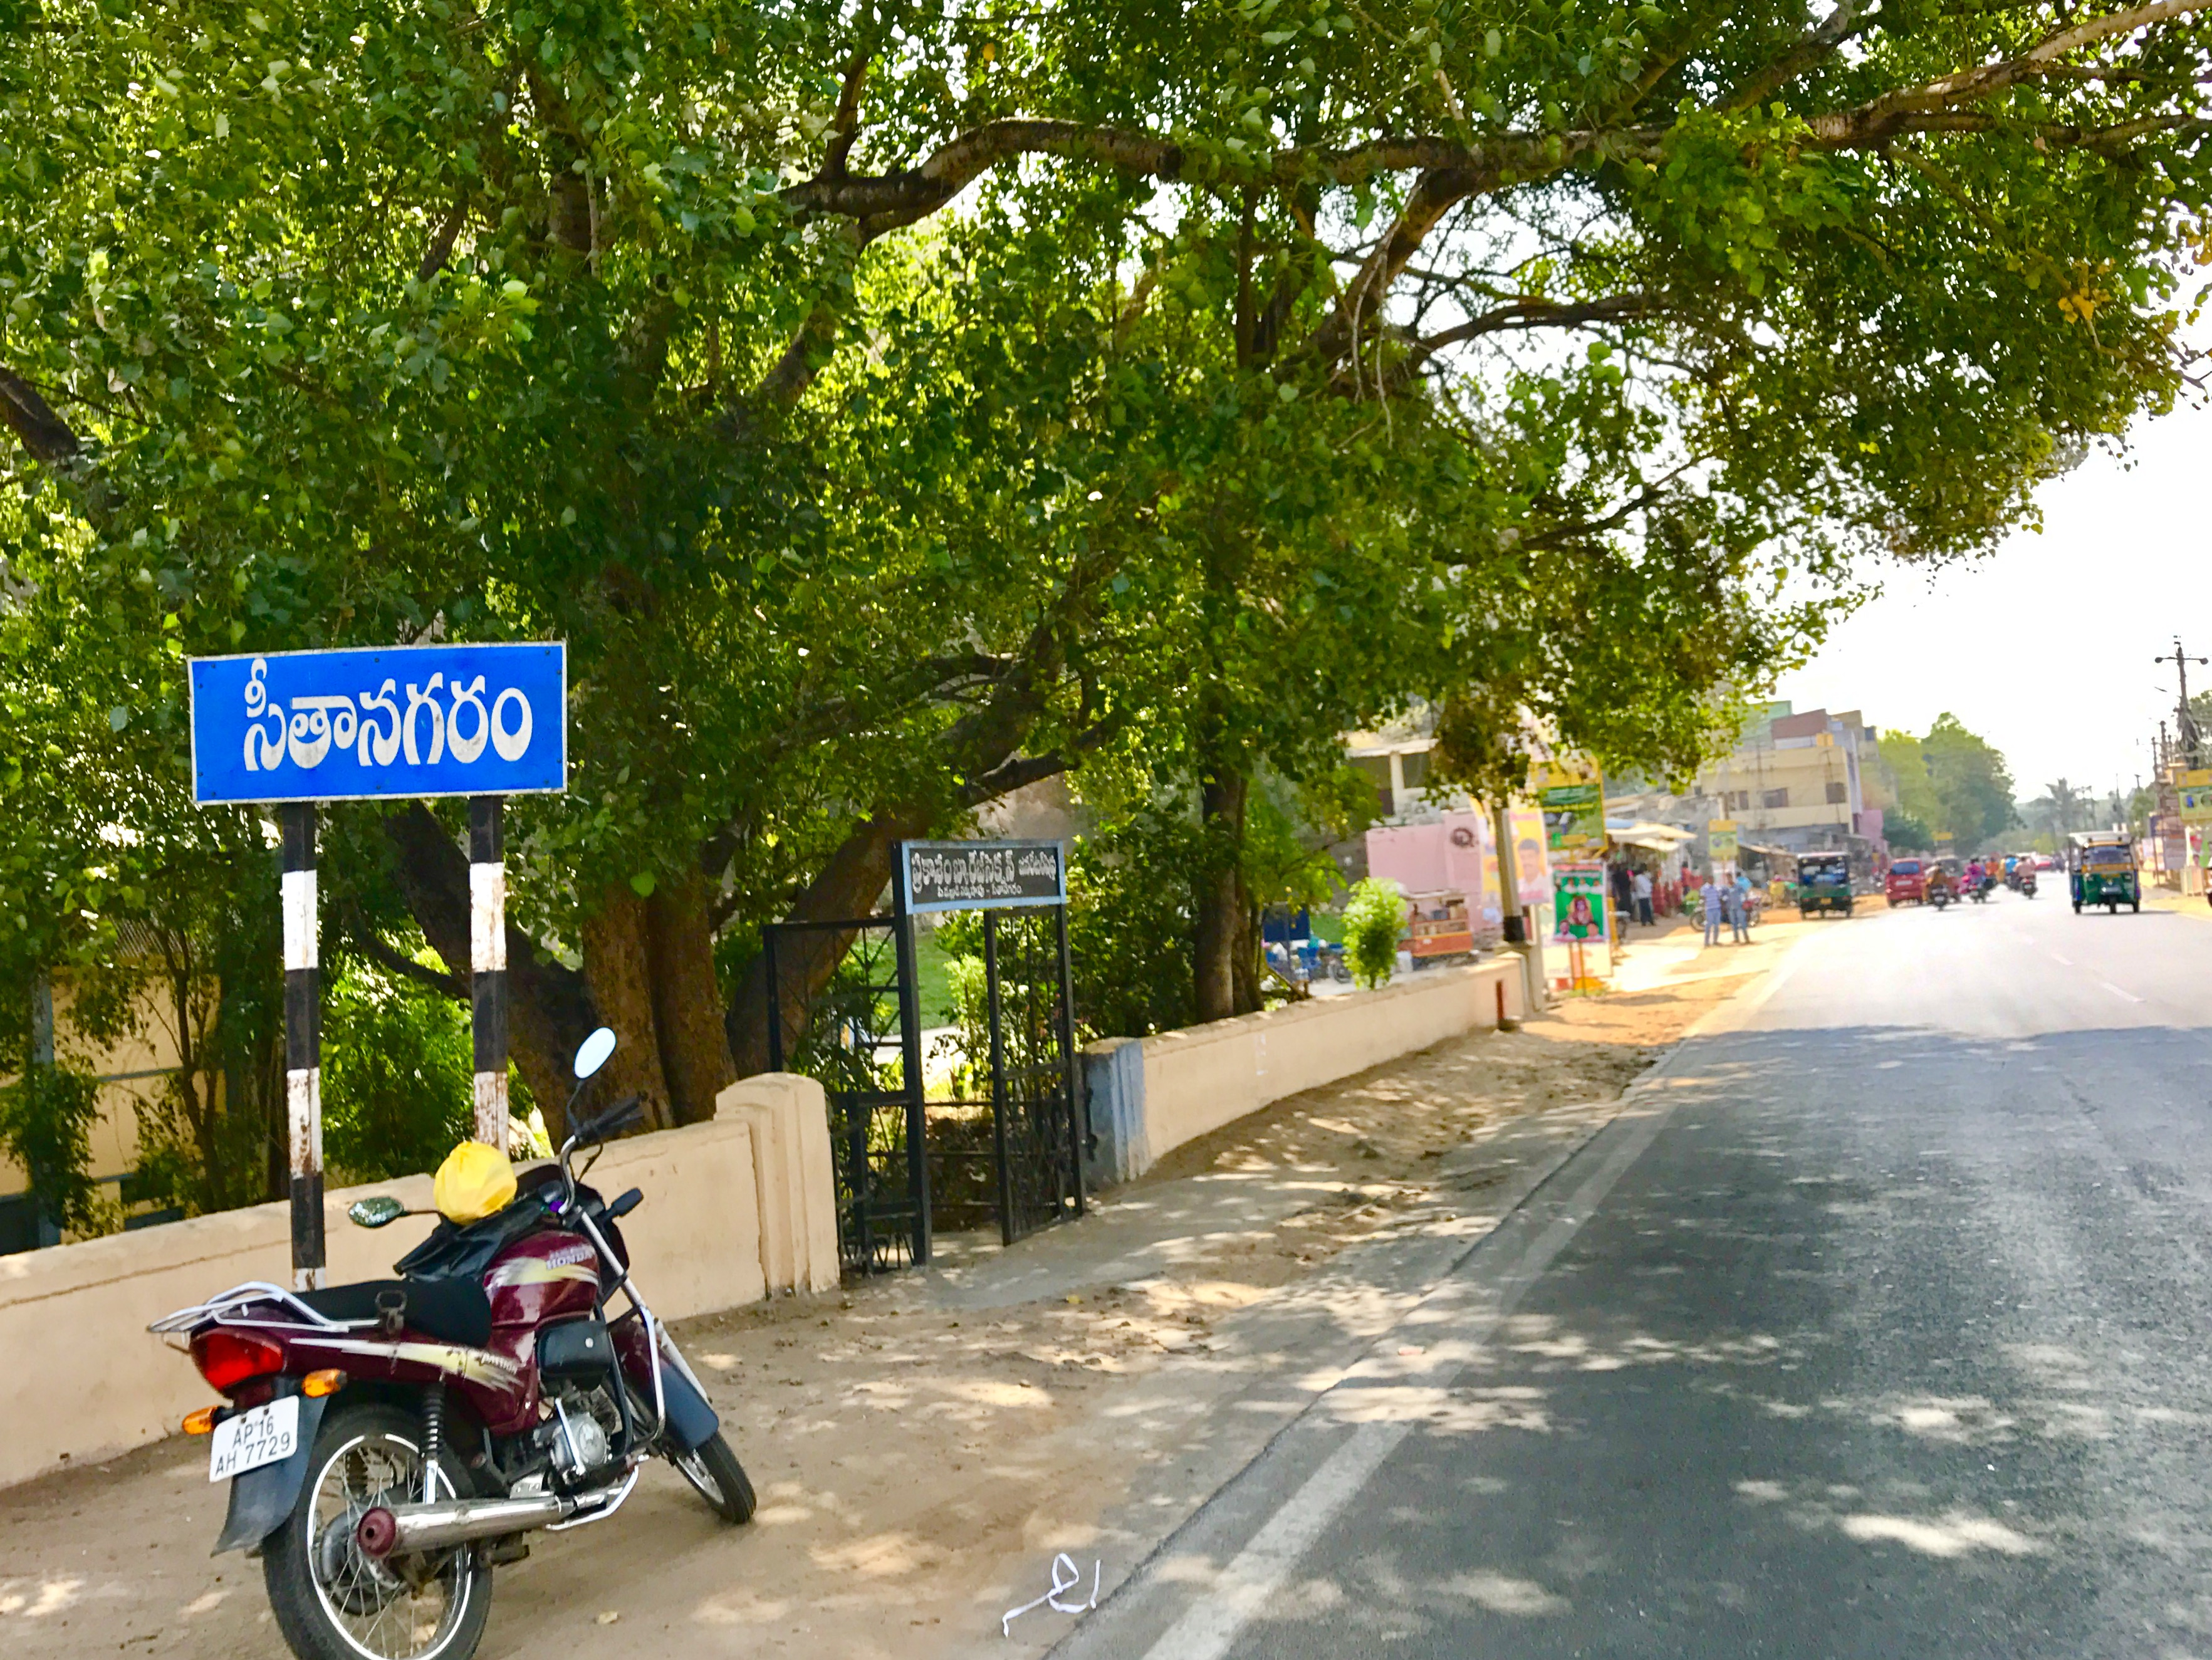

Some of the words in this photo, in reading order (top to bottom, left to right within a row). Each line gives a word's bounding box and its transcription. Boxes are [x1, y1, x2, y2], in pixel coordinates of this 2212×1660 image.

[227, 648, 536, 778] సీతానగరం
[903, 844, 1019, 895] ప్రకాశం బ్యారేజీ సెక్షన్
[986, 877, 1026, 902] సీతానగరం